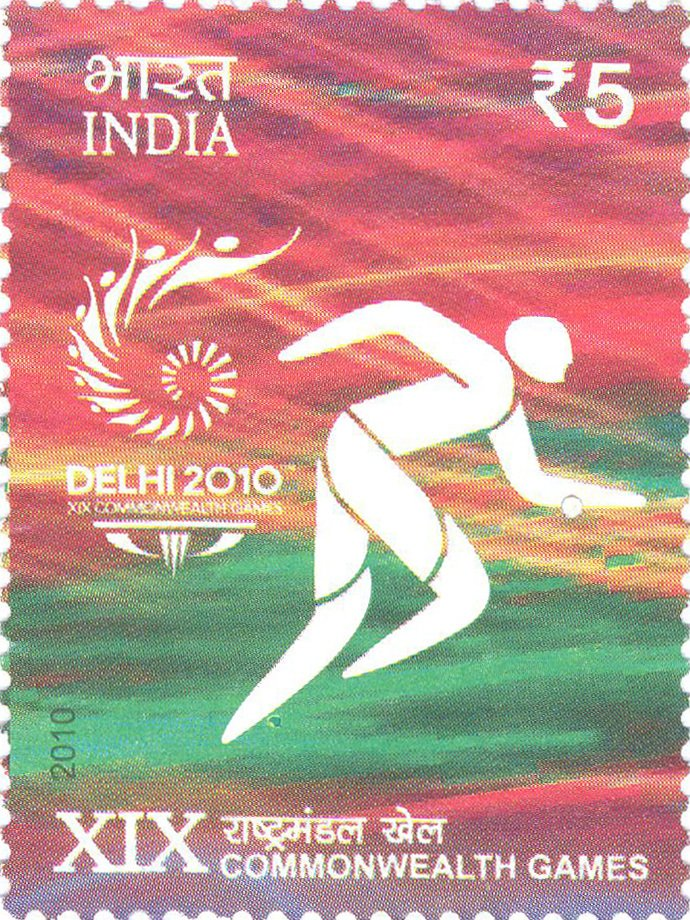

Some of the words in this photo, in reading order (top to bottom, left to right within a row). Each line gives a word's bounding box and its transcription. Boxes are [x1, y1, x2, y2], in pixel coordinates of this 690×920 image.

[81, 49, 239, 103] भारत
[523, 53, 639, 138] ₹ 5
[77, 109, 243, 159] INDIA
[62, 463, 179, 501] DELHI
[181, 463, 287, 501] 2010
[51, 809, 211, 876] XIX
[221, 803, 369, 855] राष्ट्रमंडल
[217, 851, 521, 884] COMMONWEALTH
[377, 801, 449, 849] खेल
[523, 852, 652, 886] GAMES